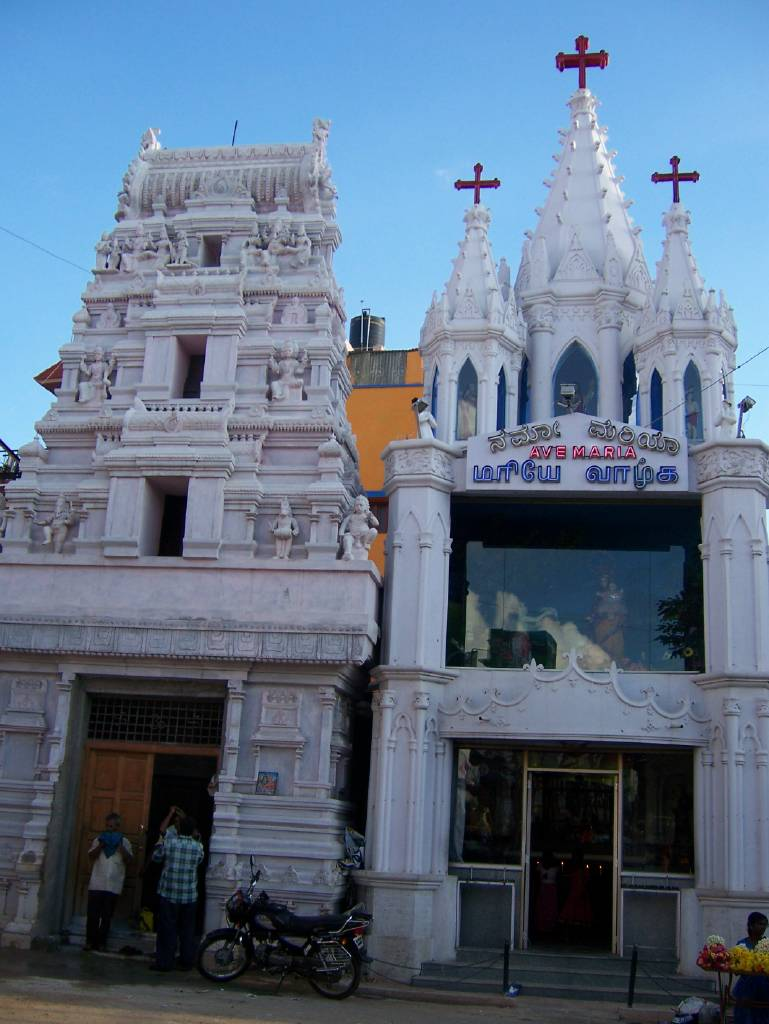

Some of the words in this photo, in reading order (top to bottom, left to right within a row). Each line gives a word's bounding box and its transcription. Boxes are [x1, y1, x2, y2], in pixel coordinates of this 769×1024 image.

[469, 453, 565, 489] மரியே
[481, 415, 567, 457] ನಮೋ
[524, 443, 569, 464] AVE
[568, 441, 641, 463] MARIA
[579, 452, 686, 495] வாழ்க
[584, 411, 685, 460] ಮರಿಯಾ